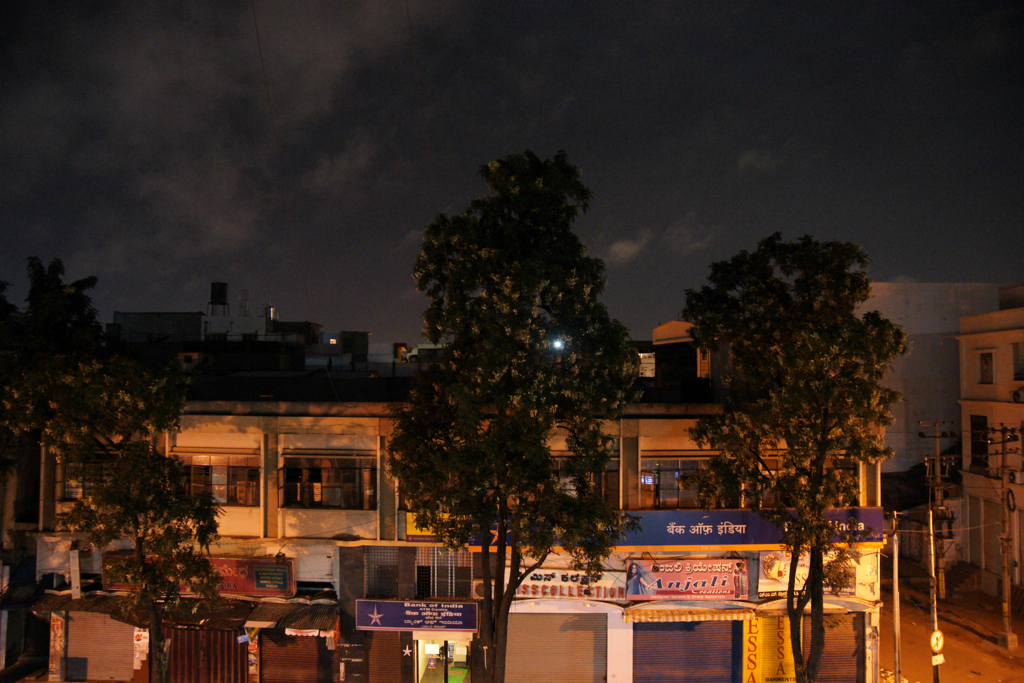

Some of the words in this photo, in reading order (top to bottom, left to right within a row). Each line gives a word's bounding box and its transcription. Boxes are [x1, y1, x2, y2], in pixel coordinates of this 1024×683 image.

[655, 513, 691, 539] बैंक
[683, 517, 718, 542] ऑफ़
[711, 511, 751, 539] इंडिया
[643, 557, 685, 577] ಅಂಜಲಿ
[676, 553, 737, 577] ಕ್ರಿಯೇಷನ್
[557, 569, 607, 589] ಕಲೆಕ್ಷನ್
[399, 609, 422, 619] बैंक
[398, 615, 425, 629] ಬ್ಯಾಂಕ್
[396, 595, 431, 611] Bank
[419, 617, 441, 630] ಆಫ್
[425, 599, 443, 613] of
[437, 603, 465, 621] इंडिया
[436, 599, 468, 613] India